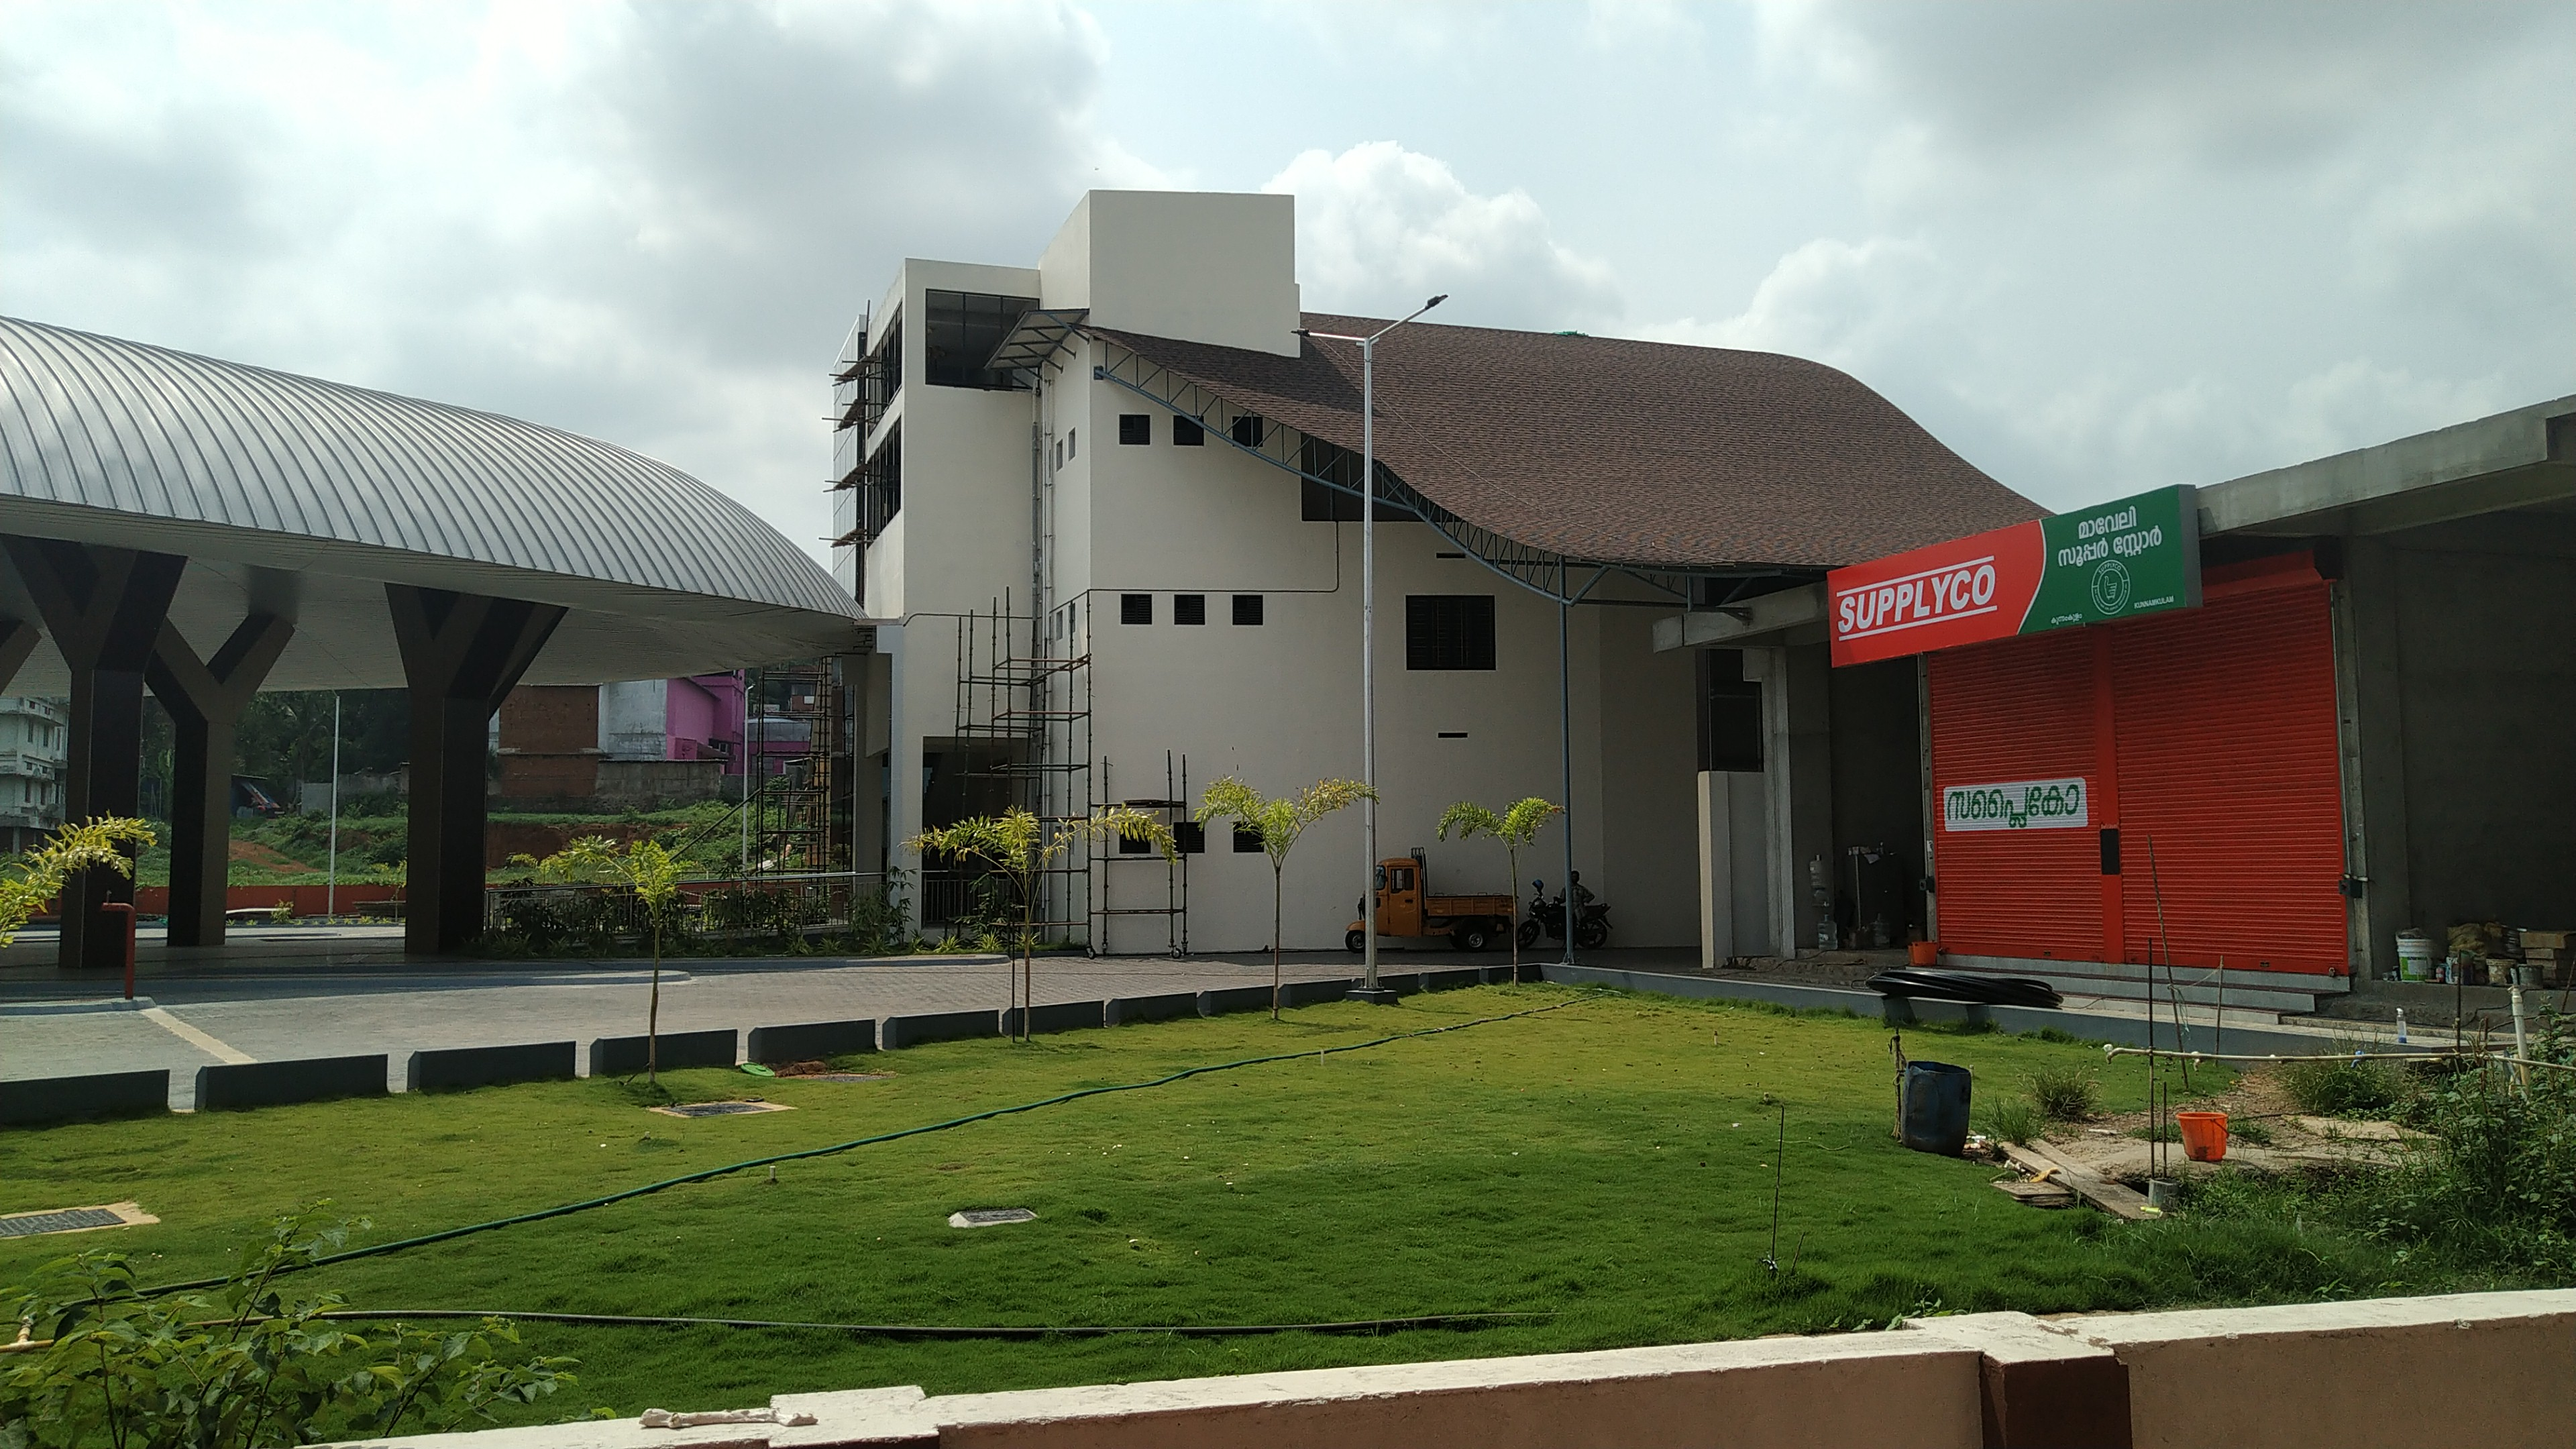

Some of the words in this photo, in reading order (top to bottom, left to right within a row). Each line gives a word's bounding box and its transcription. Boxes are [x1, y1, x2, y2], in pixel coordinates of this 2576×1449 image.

[2055, 535, 2112, 572] സൂപ്പർ
[2072, 500, 2142, 542] മാവേലി
[2110, 521, 2167, 561] സ്റ്റോർ
[1835, 561, 2000, 639] SUPPLYCO
[2129, 592, 2177, 611] KUNNAMKULAM
[1945, 782, 2083, 833] സപ്ലൈകോ